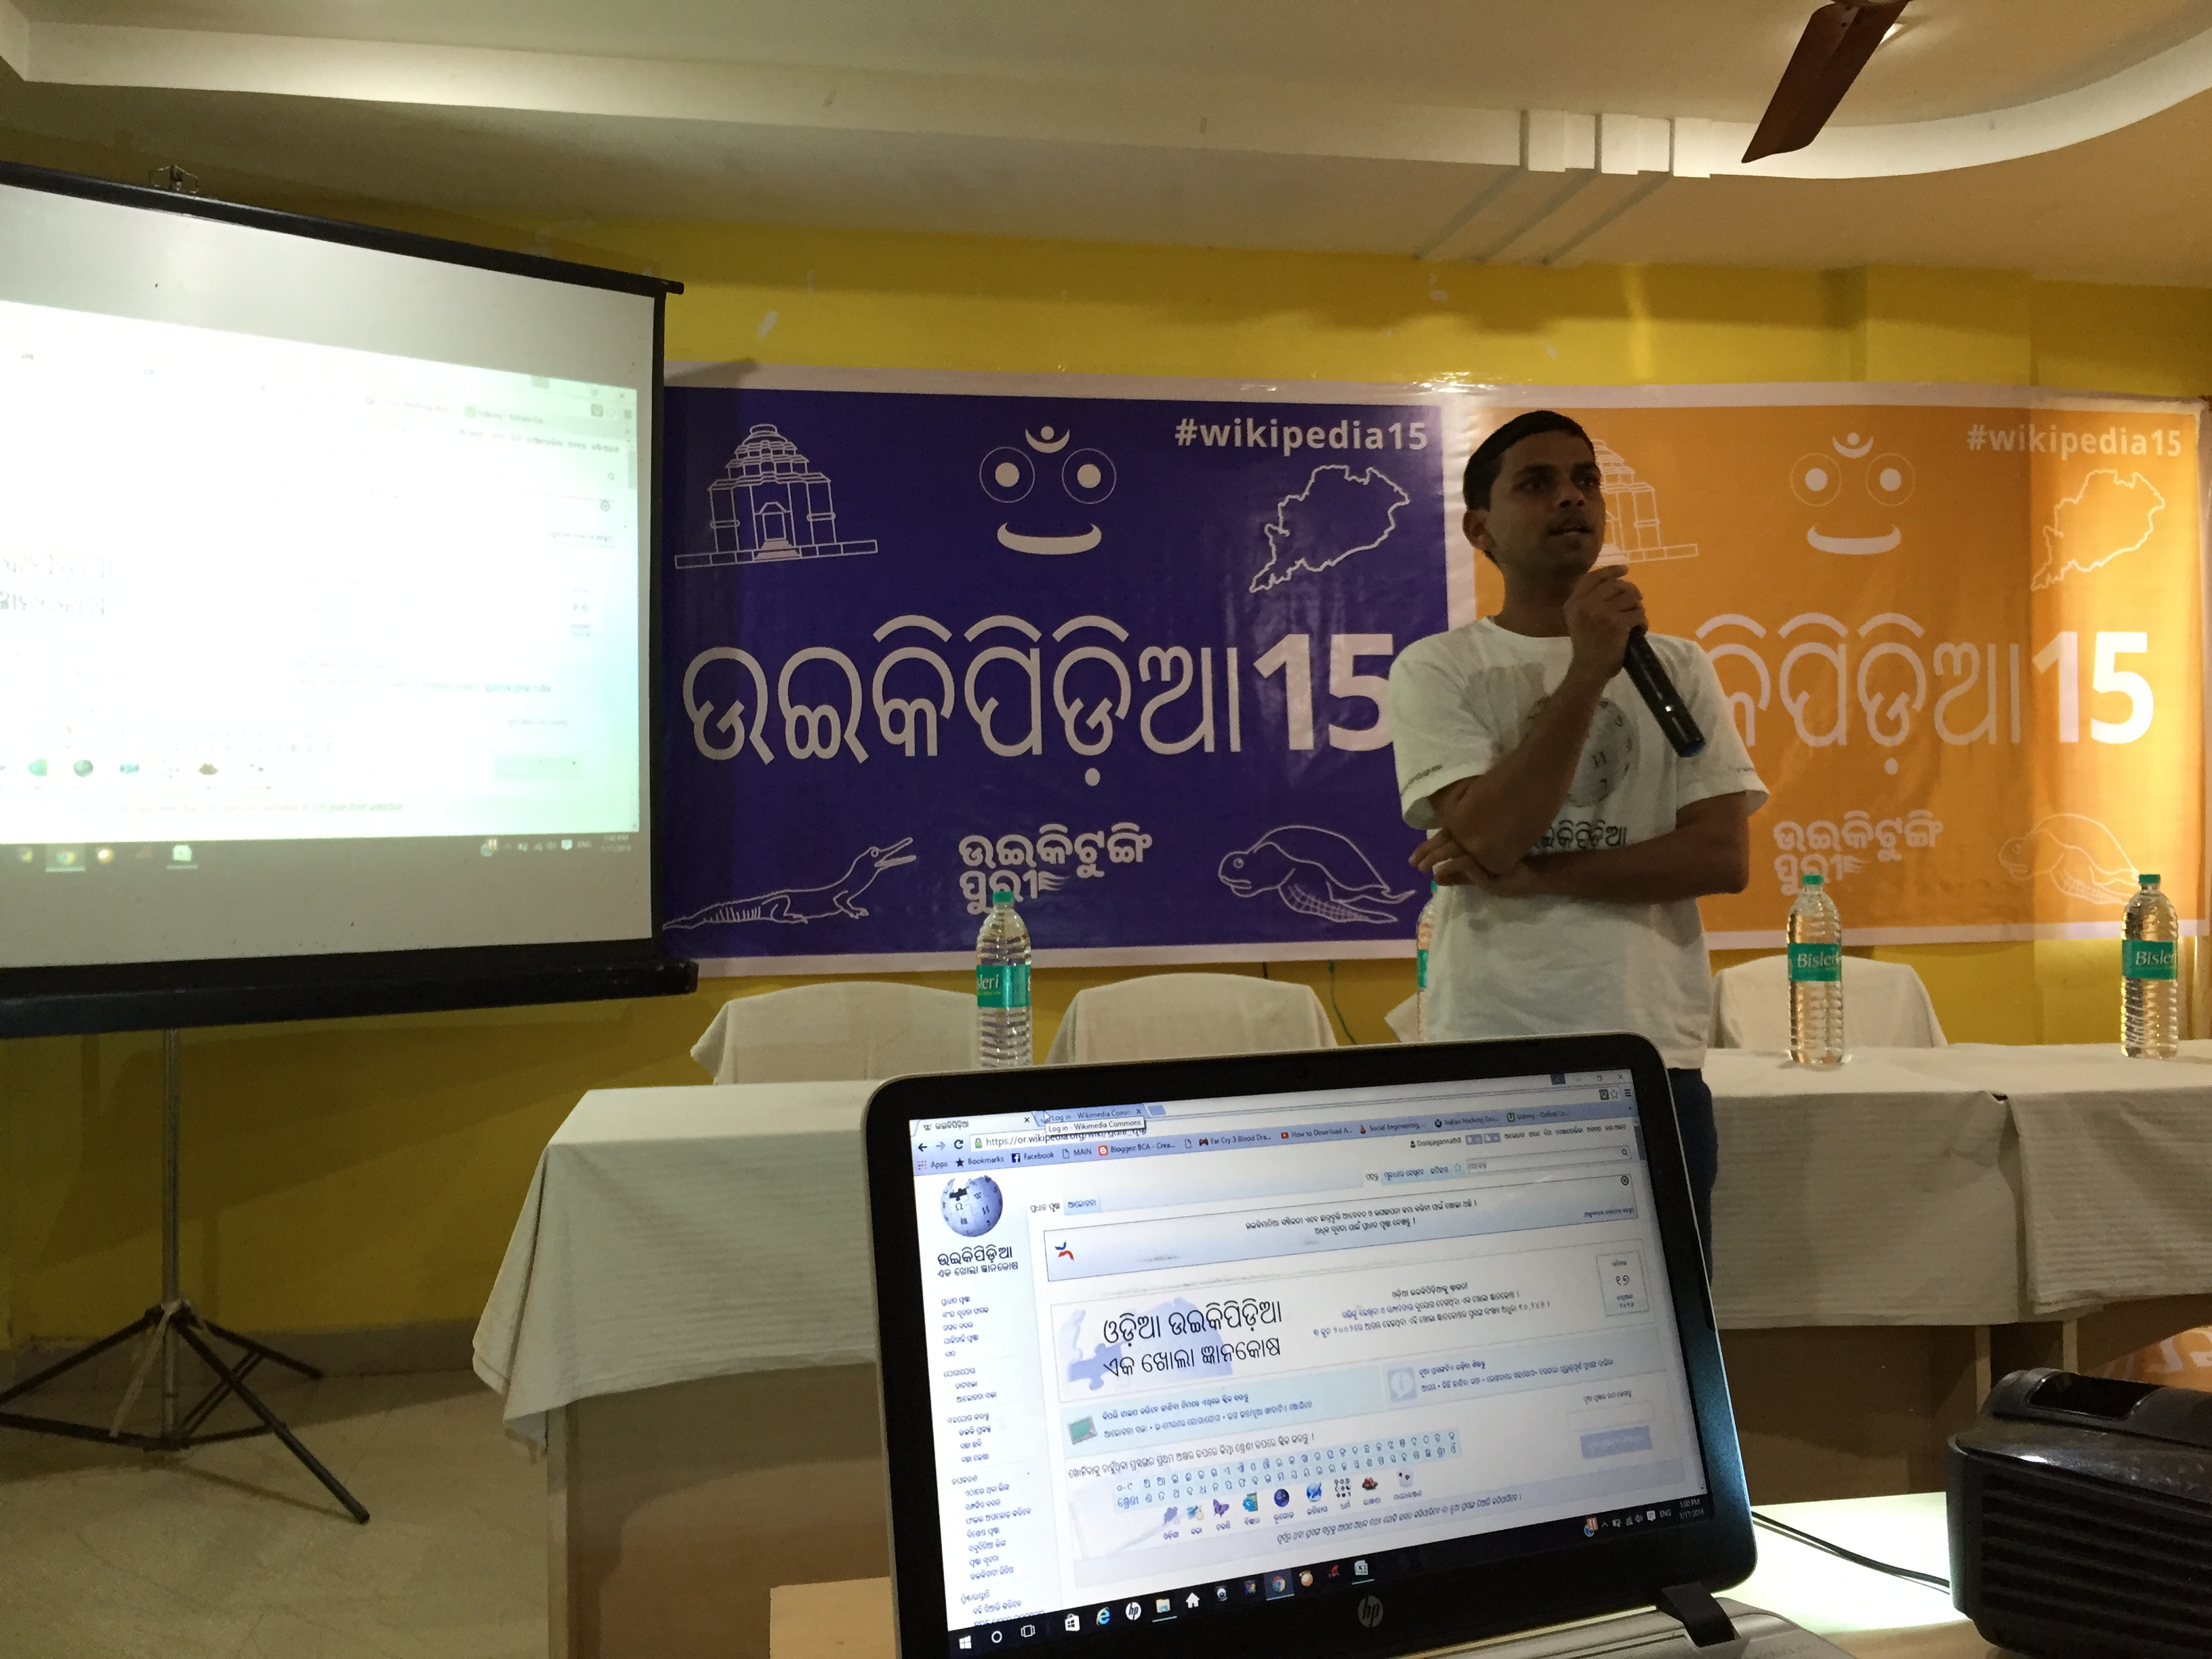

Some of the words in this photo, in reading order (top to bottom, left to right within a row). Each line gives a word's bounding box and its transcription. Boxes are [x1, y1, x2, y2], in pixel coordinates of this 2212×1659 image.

[1170, 409, 1437, 464] #wikipedia15
[1959, 419, 2189, 464] #wikipedia15
[674, 595, 1404, 793] ଉଇକିପିଡ଼ିଆ15
[1683, 590, 2163, 778] ପିଡି଼ଆ 15
[1769, 789, 1953, 867] ଉଇକିଟୁଙ୍ଗି
[953, 816, 1158, 884] ଉଇକିଟୁଙ୍ଗି
[1763, 838, 1862, 904] ପୁରା
[935, 861, 1053, 930] ପୁରା
[932, 1265, 955, 1279] ଏକ
[951, 1263, 981, 1279] ଖୋଲା
[933, 1239, 1018, 1268] ଉଇକିପିଡ଼ିଆ
[978, 1257, 1022, 1277] ଜ୍ଞାନକୋଷ
[1100, 1308, 1165, 1350] ଓଡ଼ିଆ
[1166, 1296, 1285, 1338] ଉଇକିପିଡ଼ିଆ
[1096, 1347, 1138, 1380] ଏକ
[1140, 1346, 1197, 1378] ଖୋଲା
[1199, 1334, 1284, 1368] ଜ୍ଞାନକୋଷ